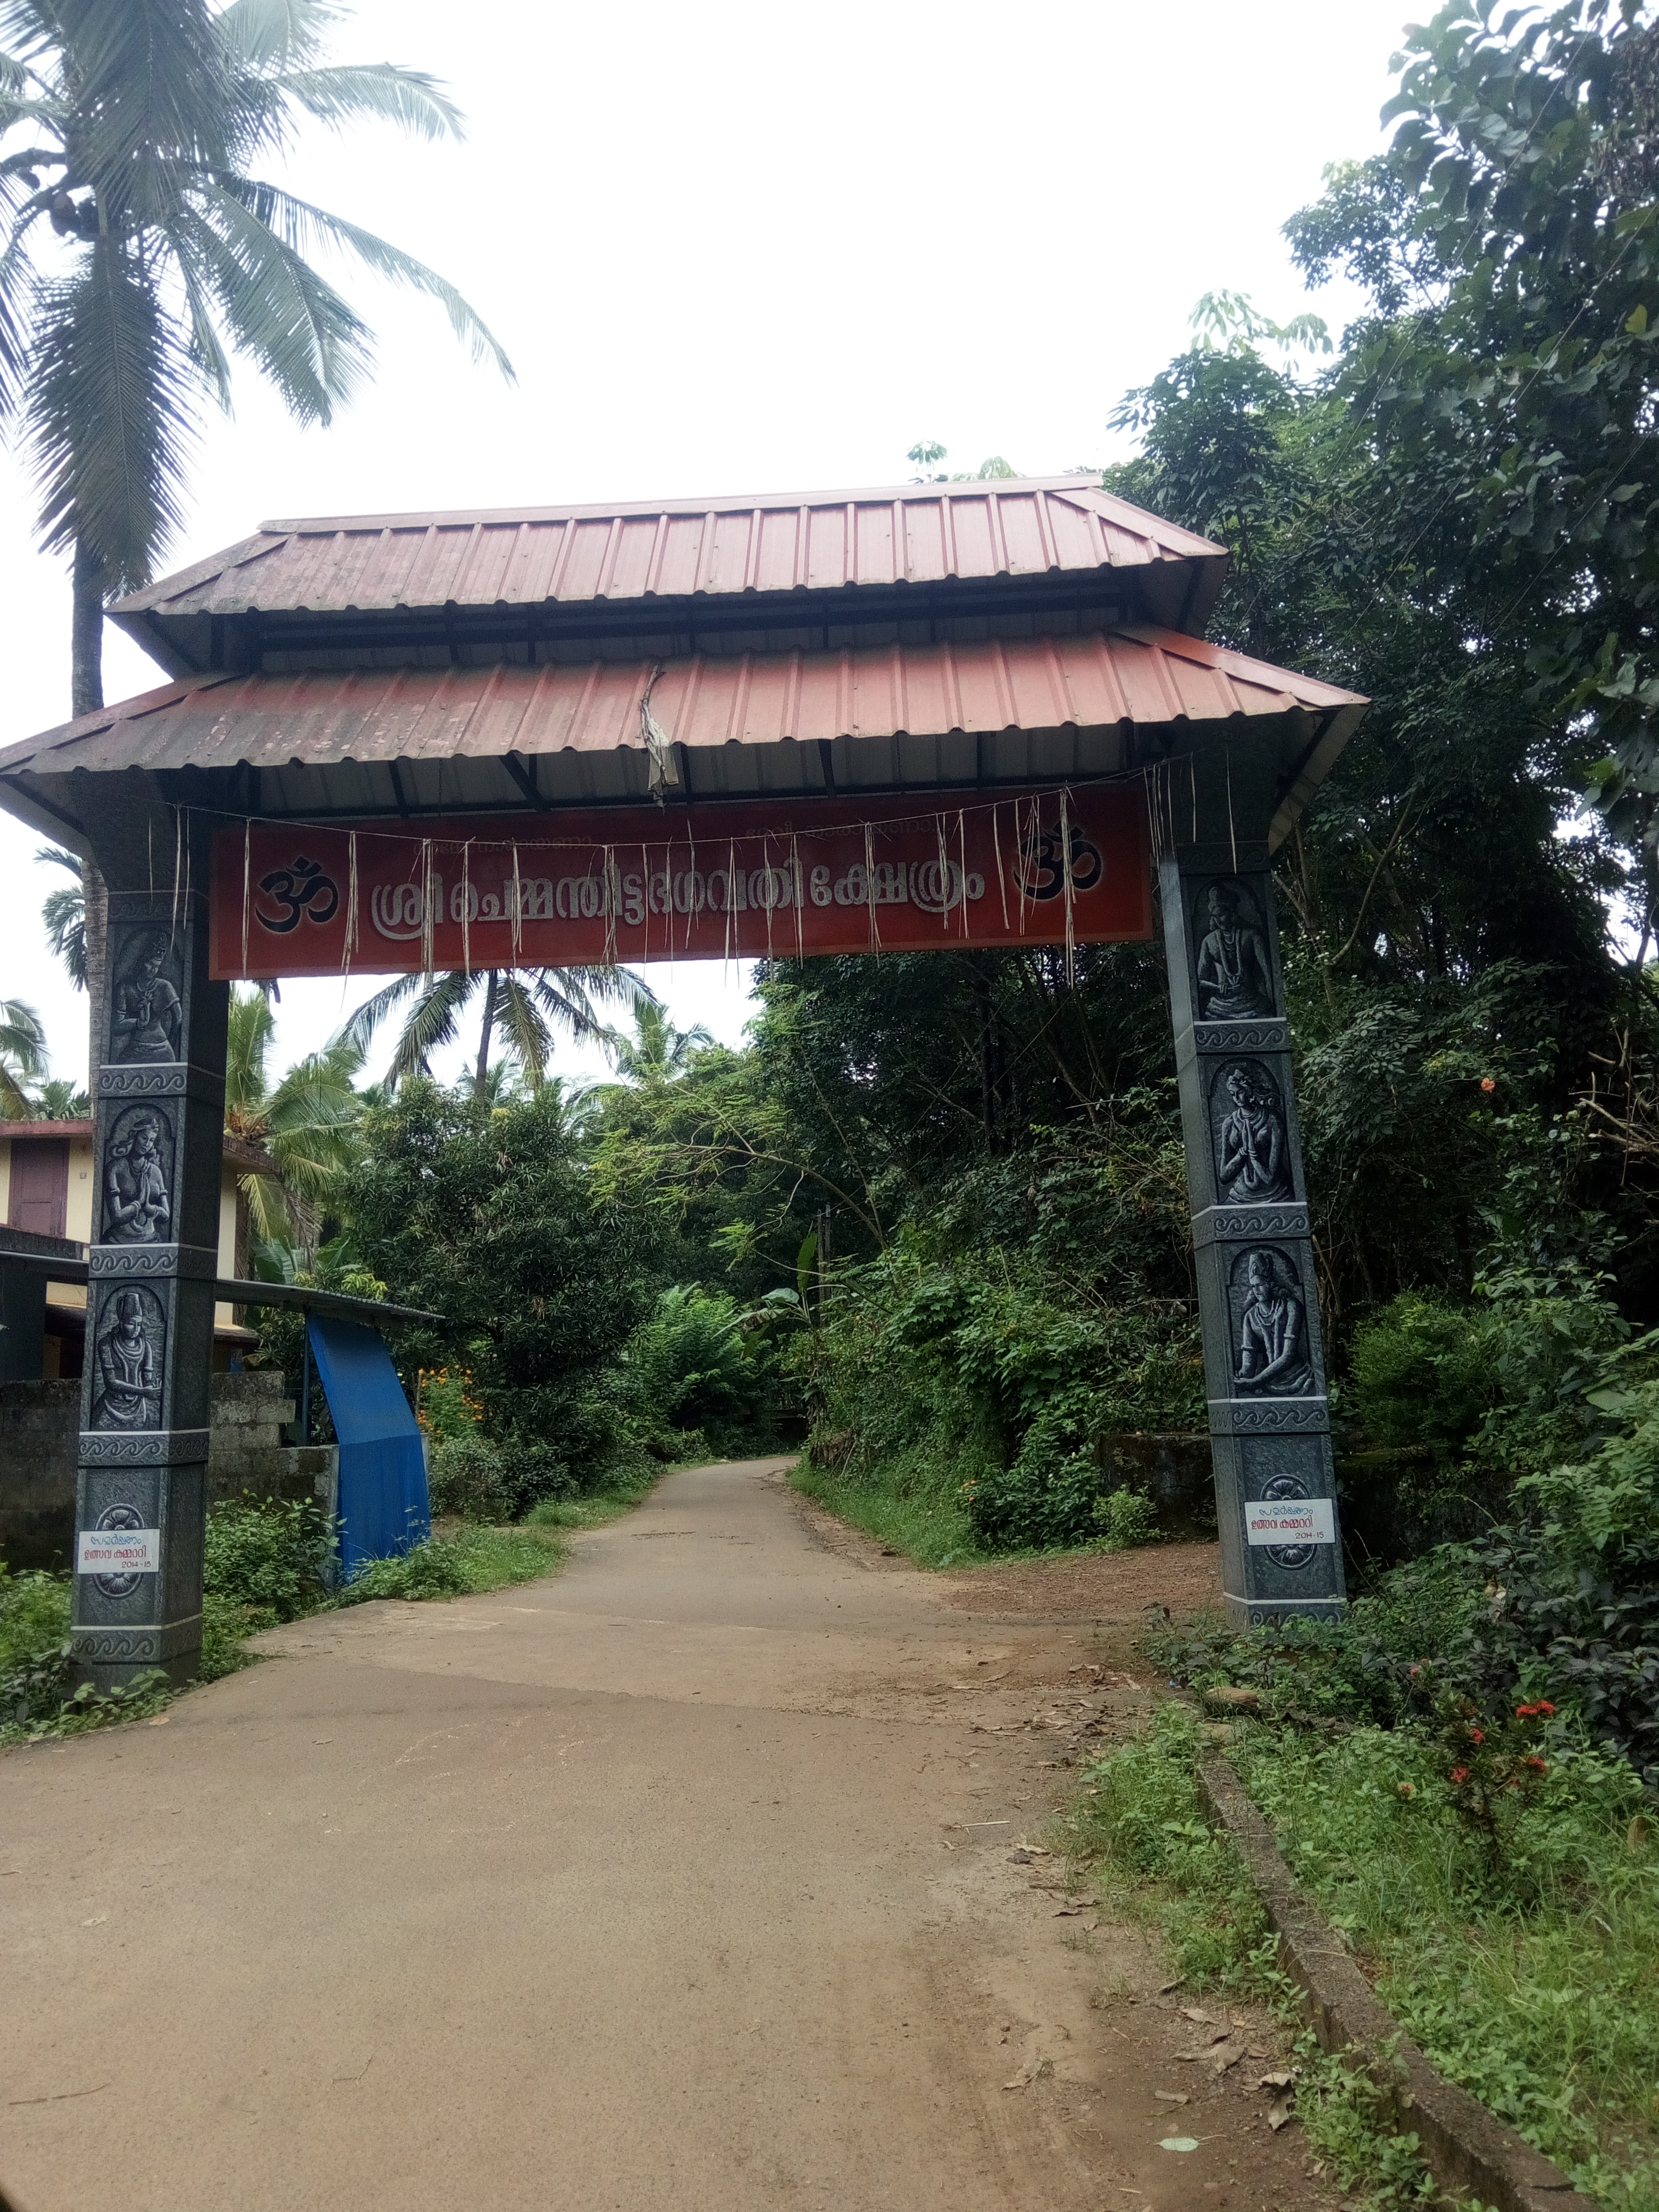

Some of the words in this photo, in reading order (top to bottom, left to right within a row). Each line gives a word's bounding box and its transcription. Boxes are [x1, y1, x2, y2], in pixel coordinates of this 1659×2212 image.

[244, 847, 343, 941] ॐ
[366, 843, 809, 950] ശ്രീ ചെമ്മന്തിട്ട ഭഗവതി
[807, 852, 992, 924] ക്ഷേത്രം
[1255, 1500, 1316, 1517] സമർജ്ജനം
[1248, 1516, 1279, 1532] ഉത്സവ
[1278, 1514, 1315, 1530] കമ്മററി
[86, 1531, 145, 1548] സമർജ്ജം
[1294, 1530, 1326, 1541] 2014-15
[81, 1547, 114, 1562] ഉത്സവ
[112, 1544, 148, 1560] കമ്മററി
[120, 1559, 154, 1571] 2014-15